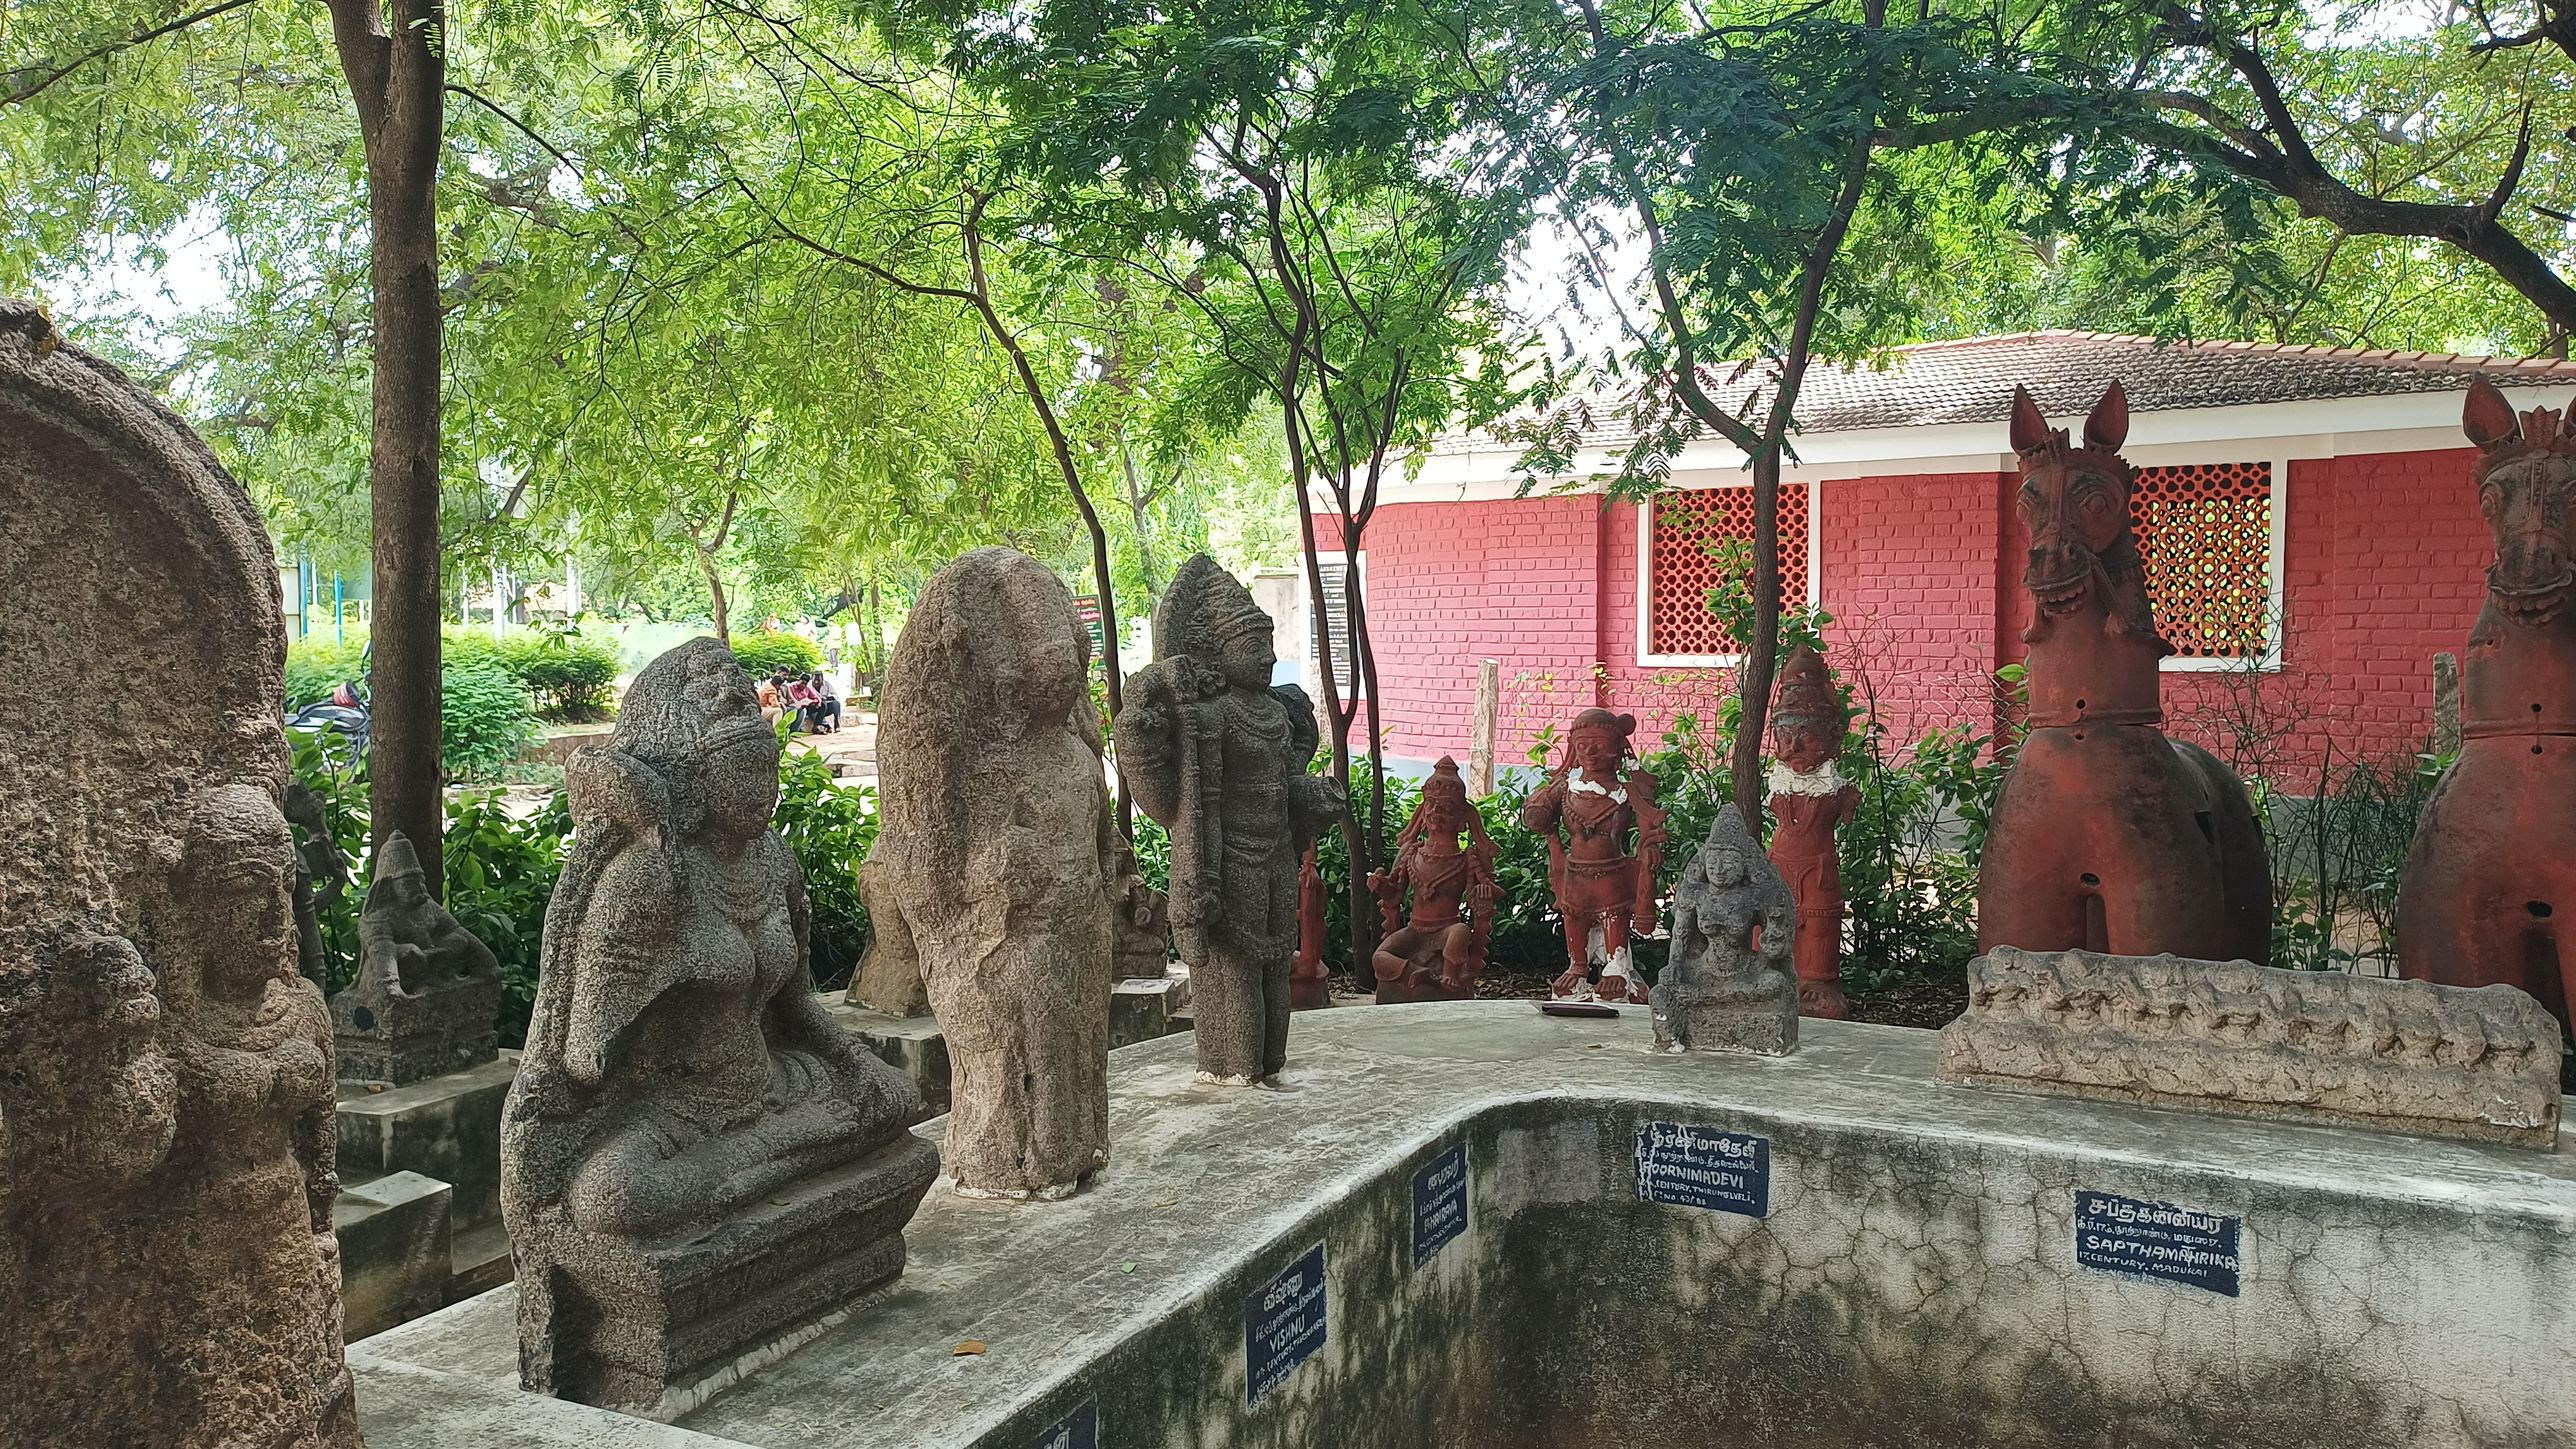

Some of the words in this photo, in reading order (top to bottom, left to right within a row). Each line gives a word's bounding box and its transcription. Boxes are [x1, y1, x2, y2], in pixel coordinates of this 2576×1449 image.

[1647, 1124, 1762, 1163] தீர்கினிமாதேவி
[1422, 1150, 1462, 1194] பைரவர்
[1641, 1159, 1745, 1192] POORNIMA DEVI
[1421, 1197, 1459, 1236] bhairaya
[2078, 1249, 2148, 1273] 17.CENTURY
[2073, 1213, 2173, 1243] கி.பி.17,நூற்றாண்டு,மதுரை
[2084, 1194, 2225, 1237] சப்தகன்னியர்
[2084, 1232, 2237, 1273] SAPTHAMAHRIKA
[2150, 1261, 2210, 1279] MADUKAI
[2172, 1230, 2220, 1248] மதுஸர
[1258, 1270, 1306, 1314] விஷ்ணு
[1269, 1312, 1307, 1358] VISHNU